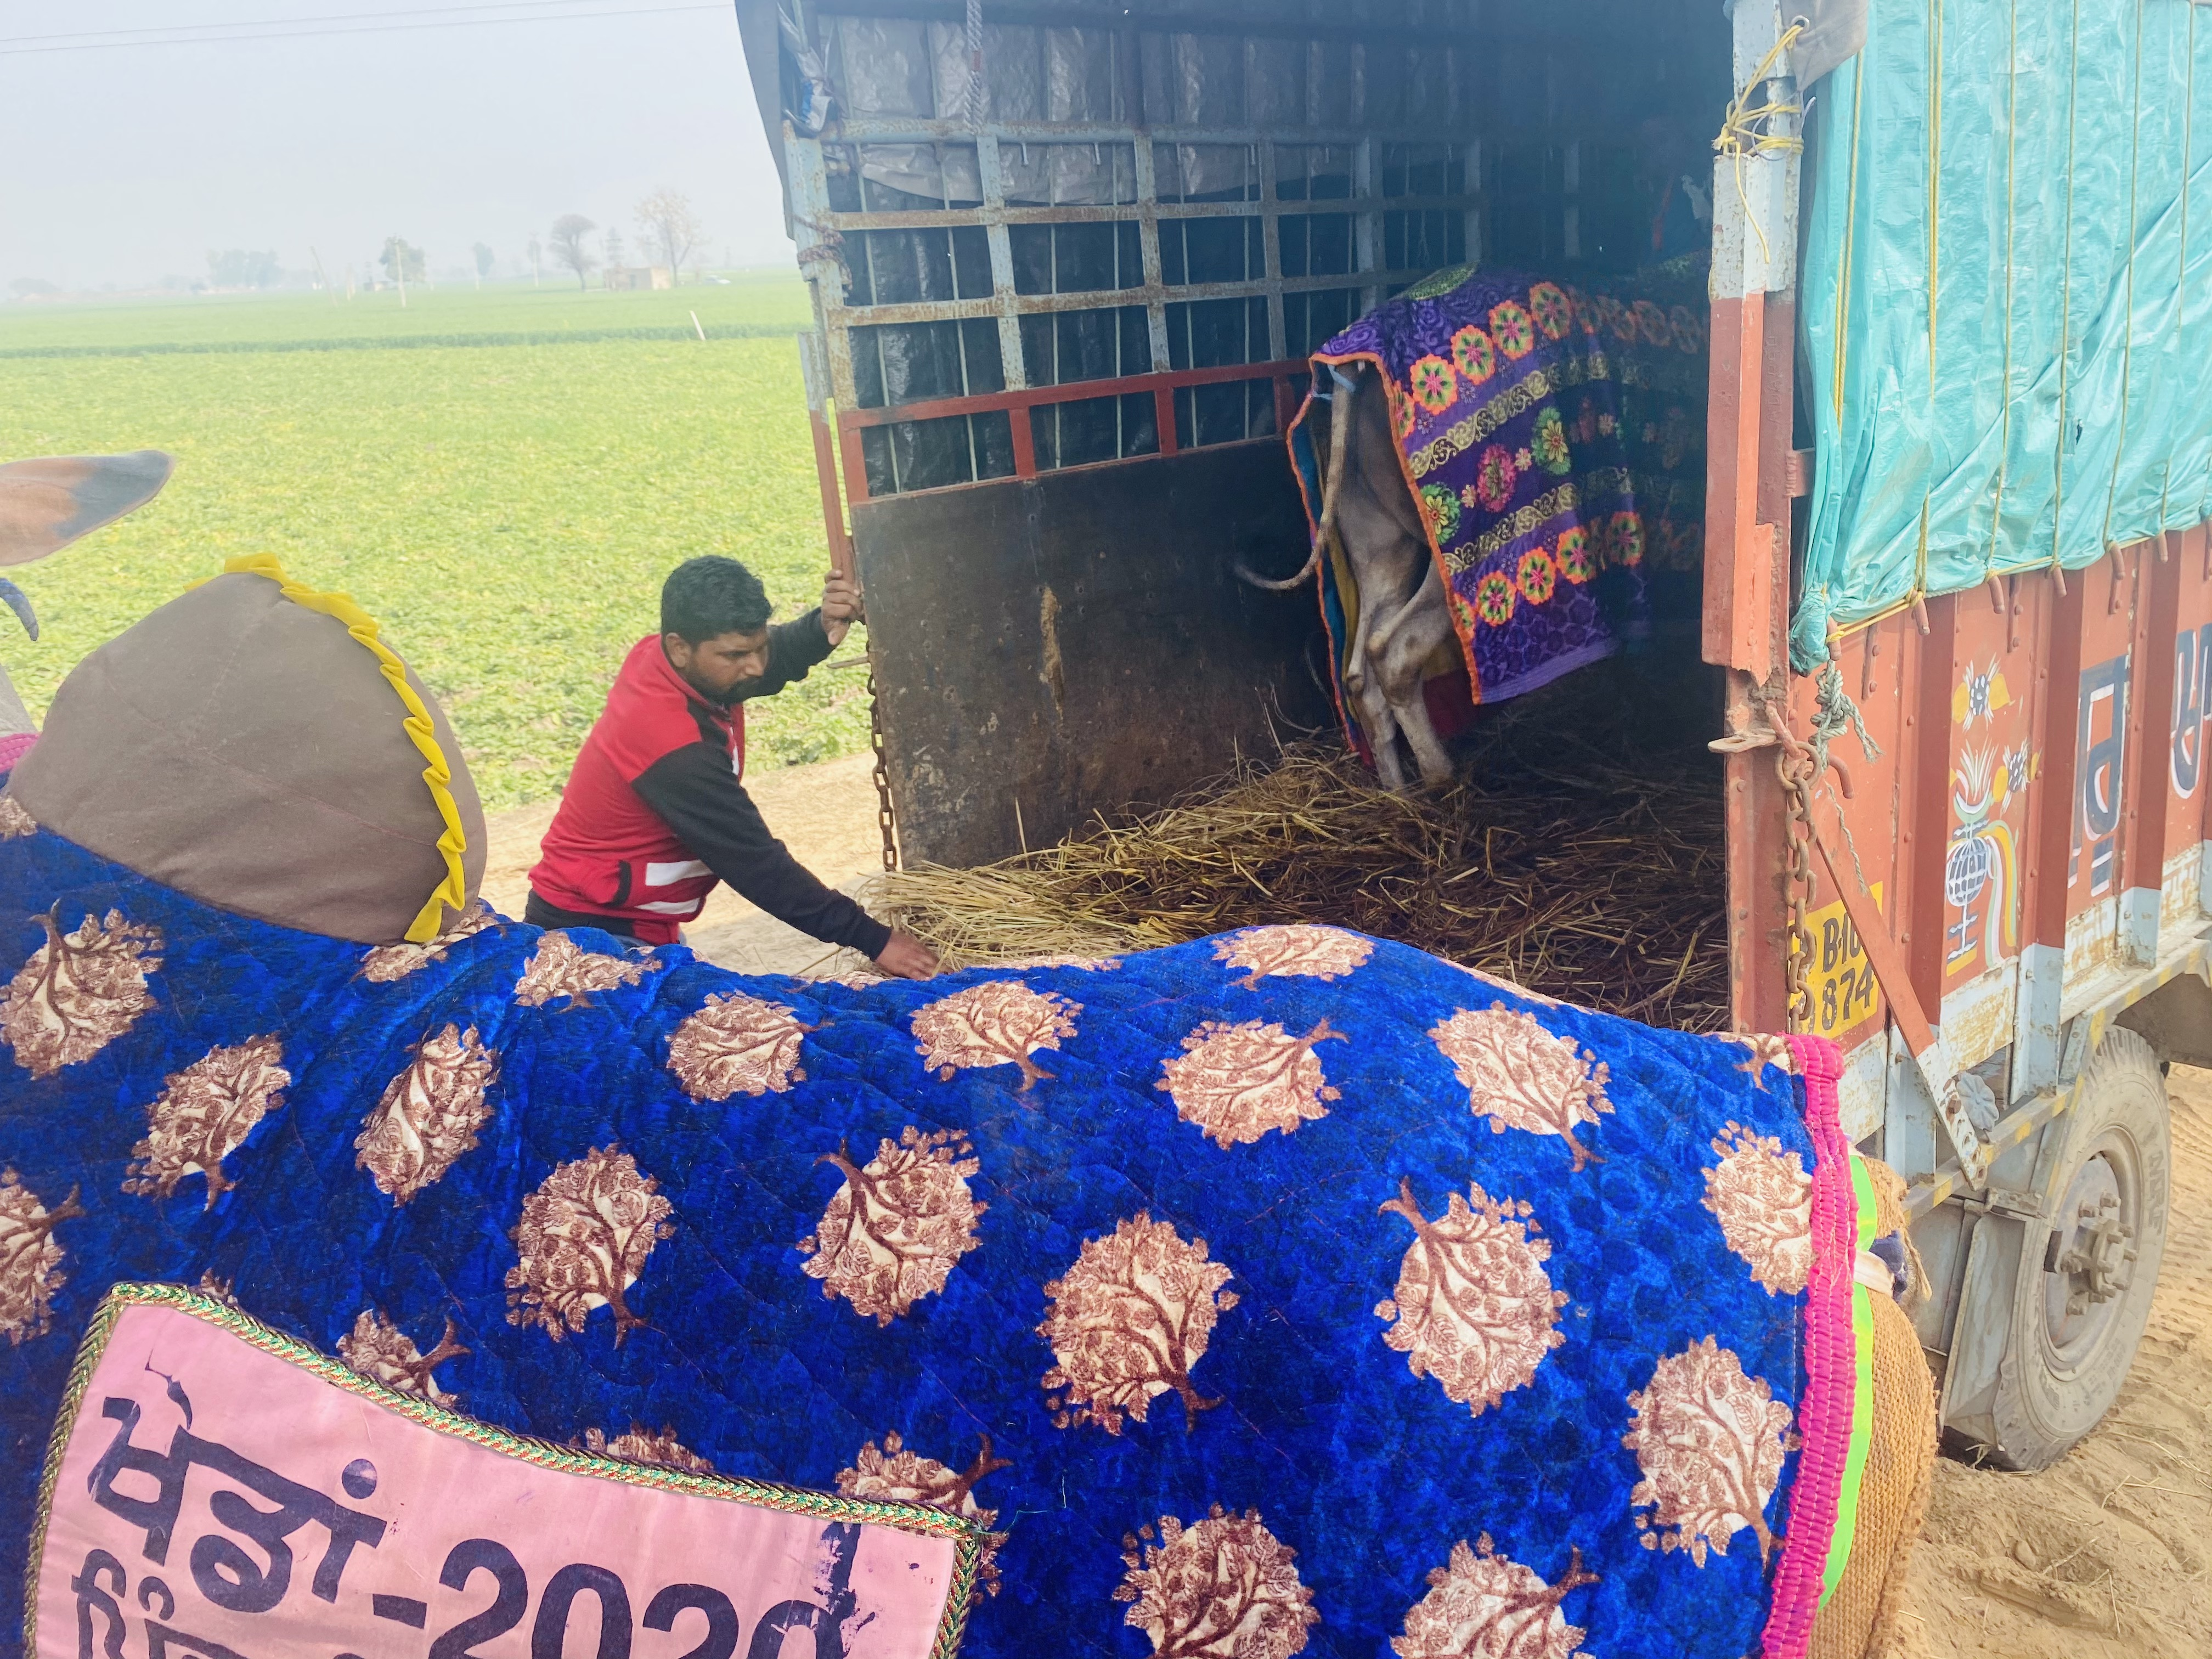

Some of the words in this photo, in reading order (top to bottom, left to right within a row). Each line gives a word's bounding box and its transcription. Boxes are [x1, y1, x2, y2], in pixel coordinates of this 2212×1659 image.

[64, 1335, 410, 1627] ਖੇਡਾਂ